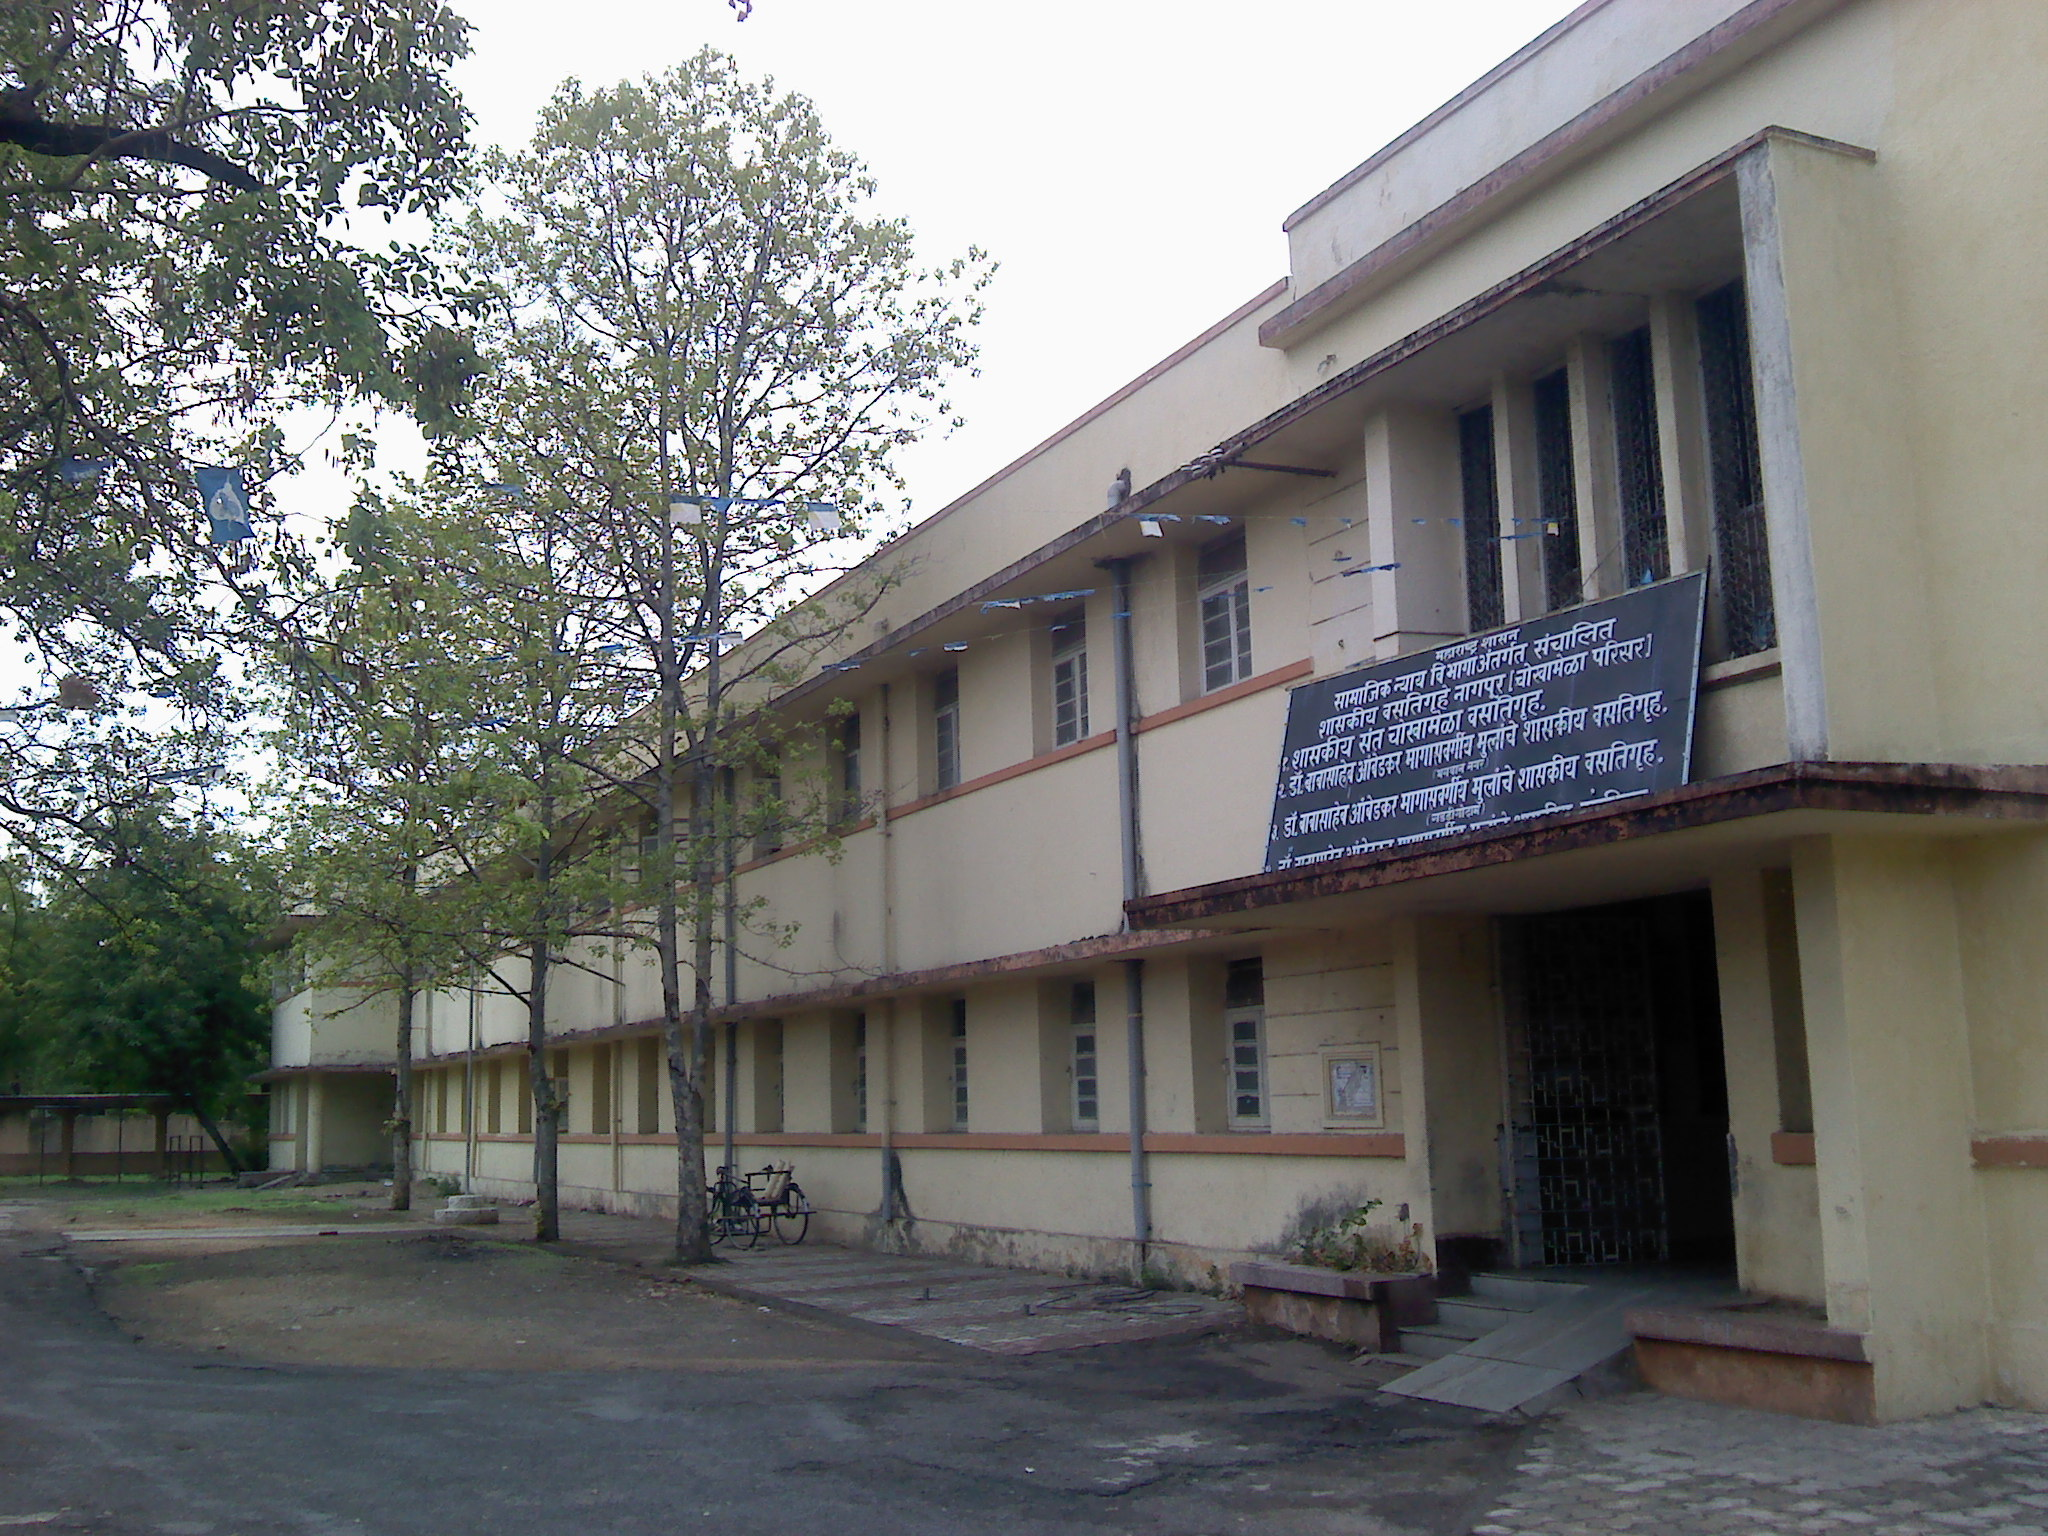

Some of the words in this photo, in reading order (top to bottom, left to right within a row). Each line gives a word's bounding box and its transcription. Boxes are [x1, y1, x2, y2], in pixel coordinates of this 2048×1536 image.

[1280, 806, 1302, 841] डॉ.
[1286, 768, 1307, 800] डॉ.
[1296, 797, 1351, 841] बाबासाहेब
[1291, 731, 1357, 771] शासकीय
[1303, 758, 1356, 797] बाबासाहेब
[1315, 698, 1381, 741] शासकीय
[1331, 672, 1394, 713] सामाजिक
[1356, 722, 1385, 755] संत
[1348, 787, 1398, 826] आंबेडकर
[1356, 747, 1411, 786] आंबेडकर
[1391, 664, 1429, 696] न्याय
[1380, 683, 1452, 723] वसतिगृहे
[1385, 704, 1463, 749] चोखामळा
[1399, 773, 1471, 817] मागासवर्गीय
[1402, 730, 1477, 773] मागासवर्गीय
[1428, 653, 1479, 688] विभागा
[1451, 669, 1507, 706] नागपूर
[1471, 761, 1517, 804] मुलांचे
[1475, 719, 1521, 759] मुलांचे
[1477, 638, 1531, 677] अंतर्गत
[1463, 685, 1552, 729] वसतिगृह.
[1507, 646, 1588, 693] [चोखामेळा
[1515, 750, 1583, 797] शासकीय
[1519, 702, 1589, 748] शासकीय
[1530, 610, 1623, 661] संचालित
[1589, 627, 1658, 670] परिसर]
[1581, 732, 1668, 780] वसतिगृह.
[1589, 683, 1671, 732] वसतिगृह,